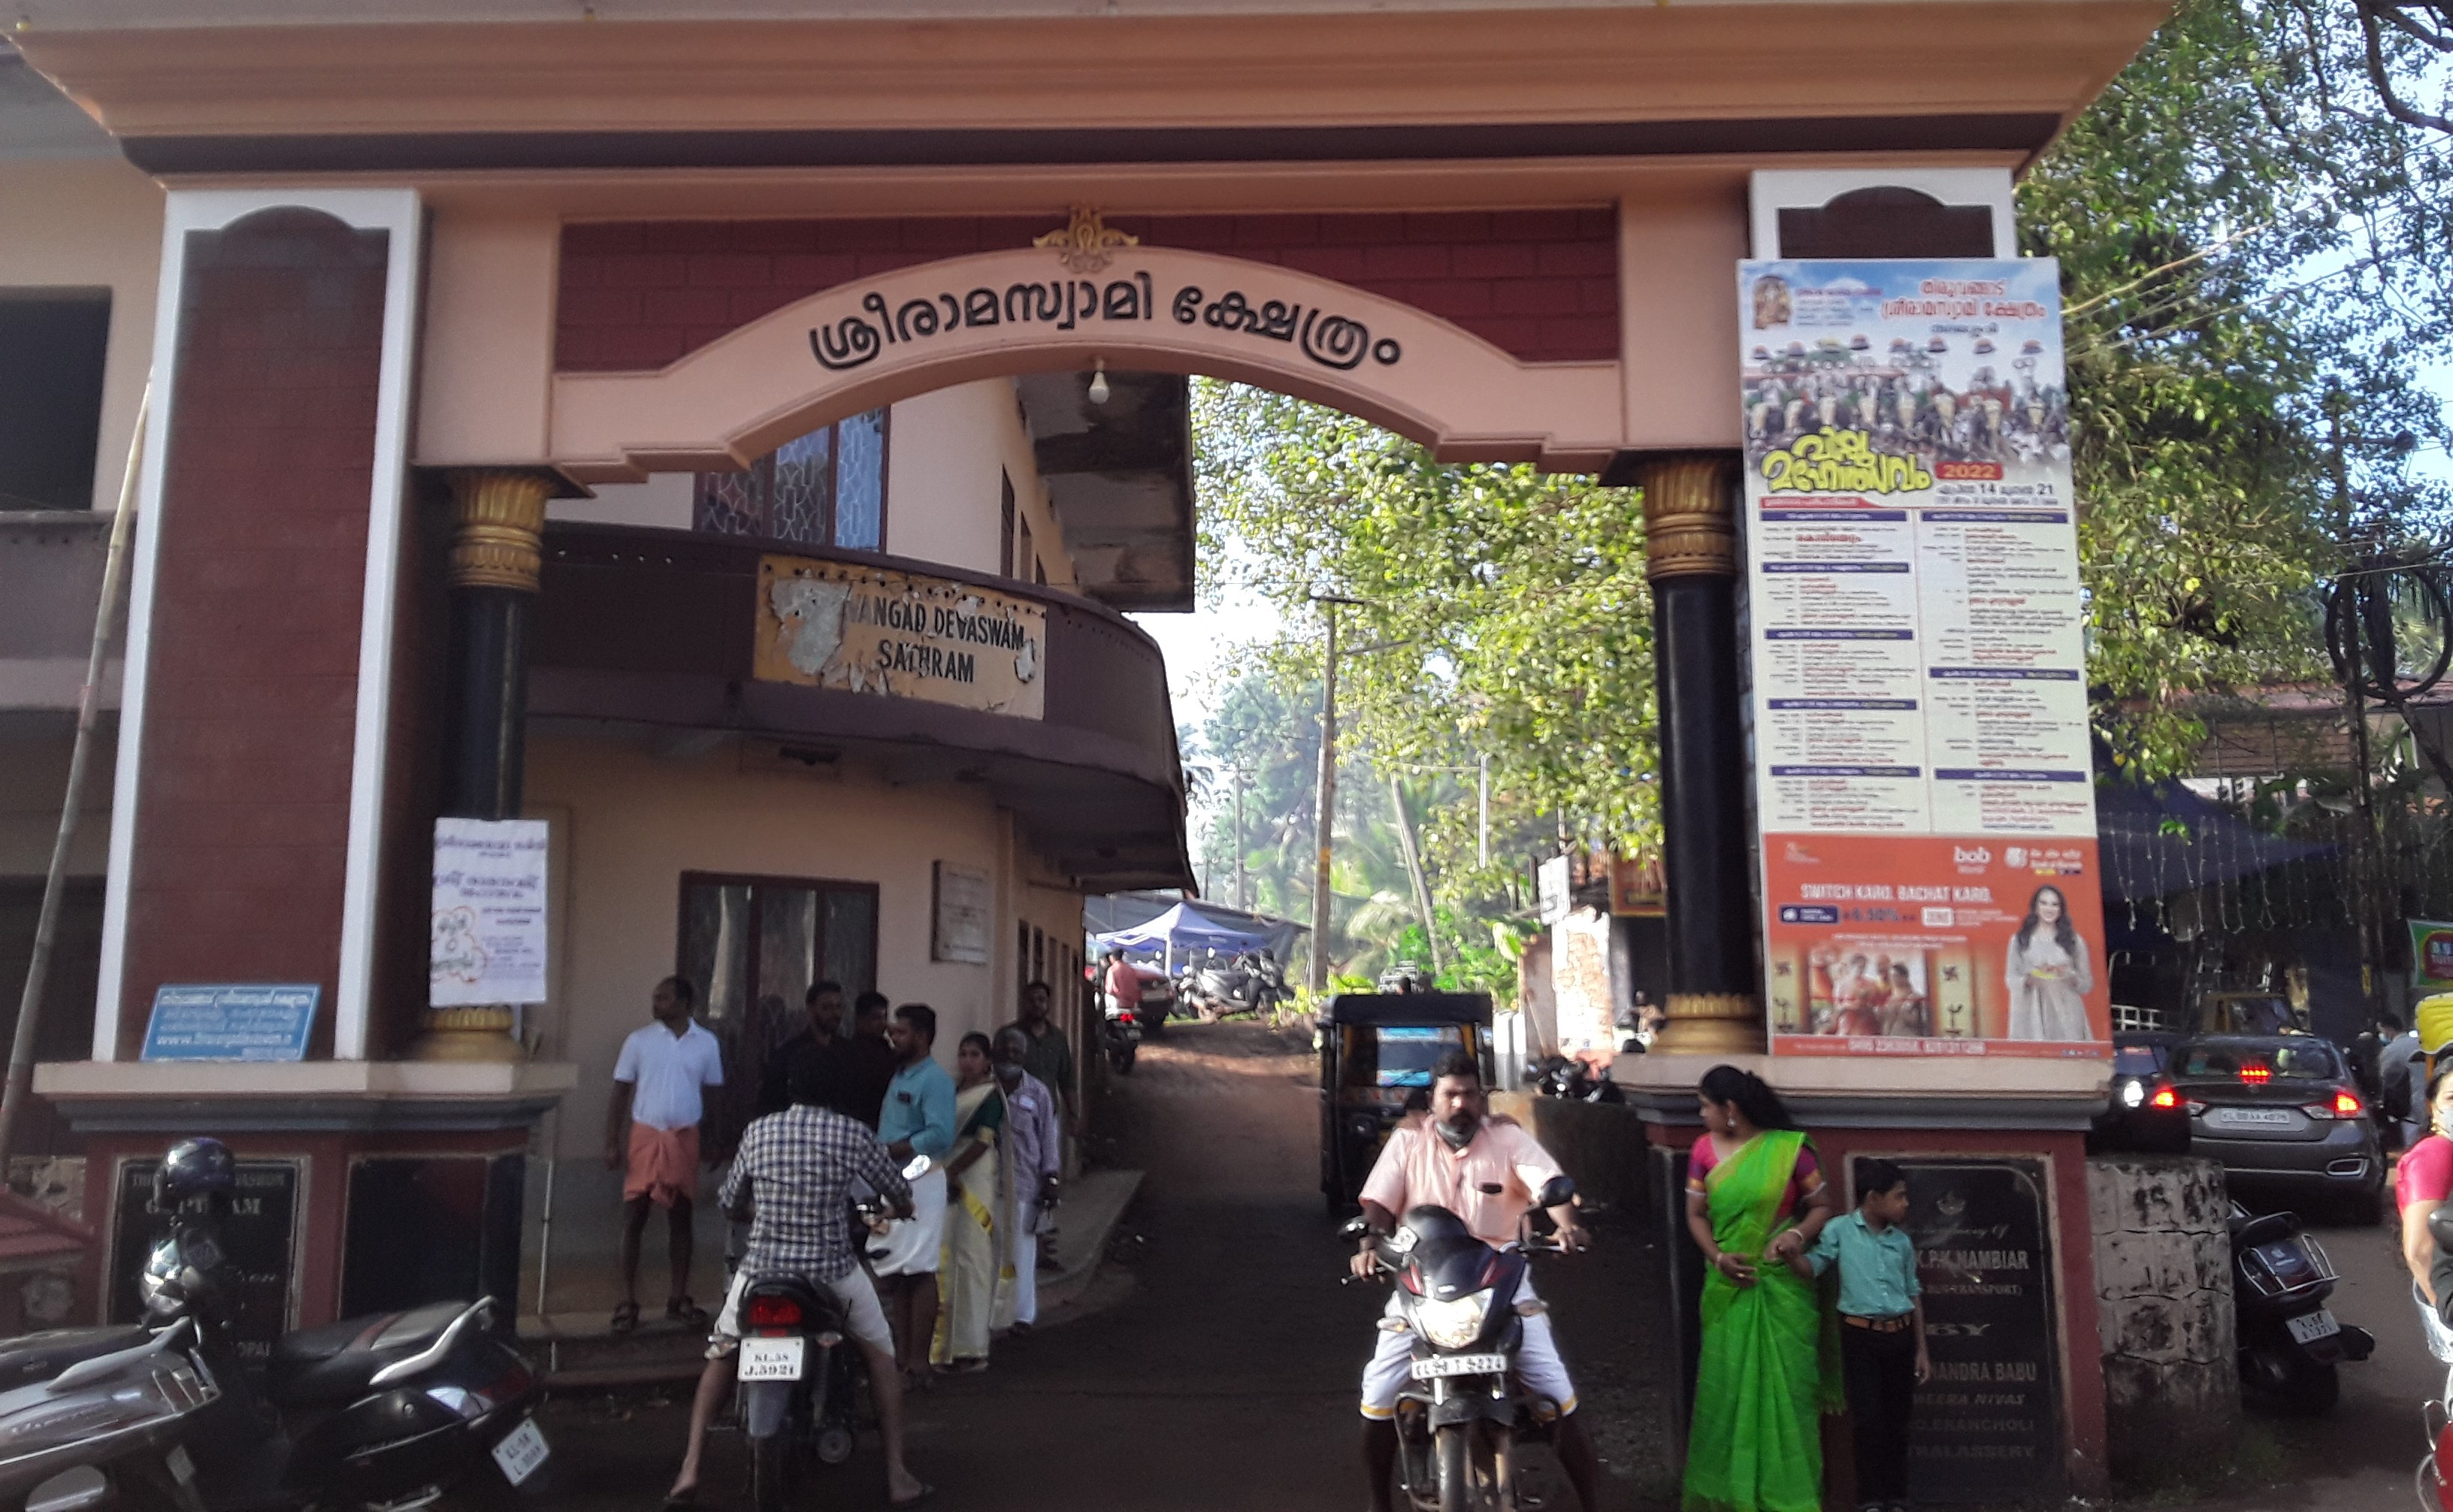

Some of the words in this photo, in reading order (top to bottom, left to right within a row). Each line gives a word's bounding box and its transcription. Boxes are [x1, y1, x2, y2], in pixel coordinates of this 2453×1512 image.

[801, 263, 1157, 376] ശ്രീരാമസ്യാമി
[1164, 276, 1407, 376] ക്ഷേത്രം
[1941, 458, 1997, 481] 2022
[834, 589, 931, 637] NANGAD
[931, 602, 1028, 656] DEVASWAM
[873, 636, 976, 688] SATHRAM
[1946, 842, 1992, 866] bob
[1795, 878, 1855, 902] SWITCH
[1855, 878, 1897, 903] CARO.
[1895, 878, 1952, 906] BACHAT
[1949, 883, 1995, 908] KARO
[1914, 1245, 2032, 1275] K.P.K.NAMBIAR
[1923, 1358, 1991, 1387] NANDRA
[1991, 1357, 2039, 1387] BABU
[1910, 1389, 1971, 1411] WEERA
[1968, 1390, 2027, 1410] NIVAS